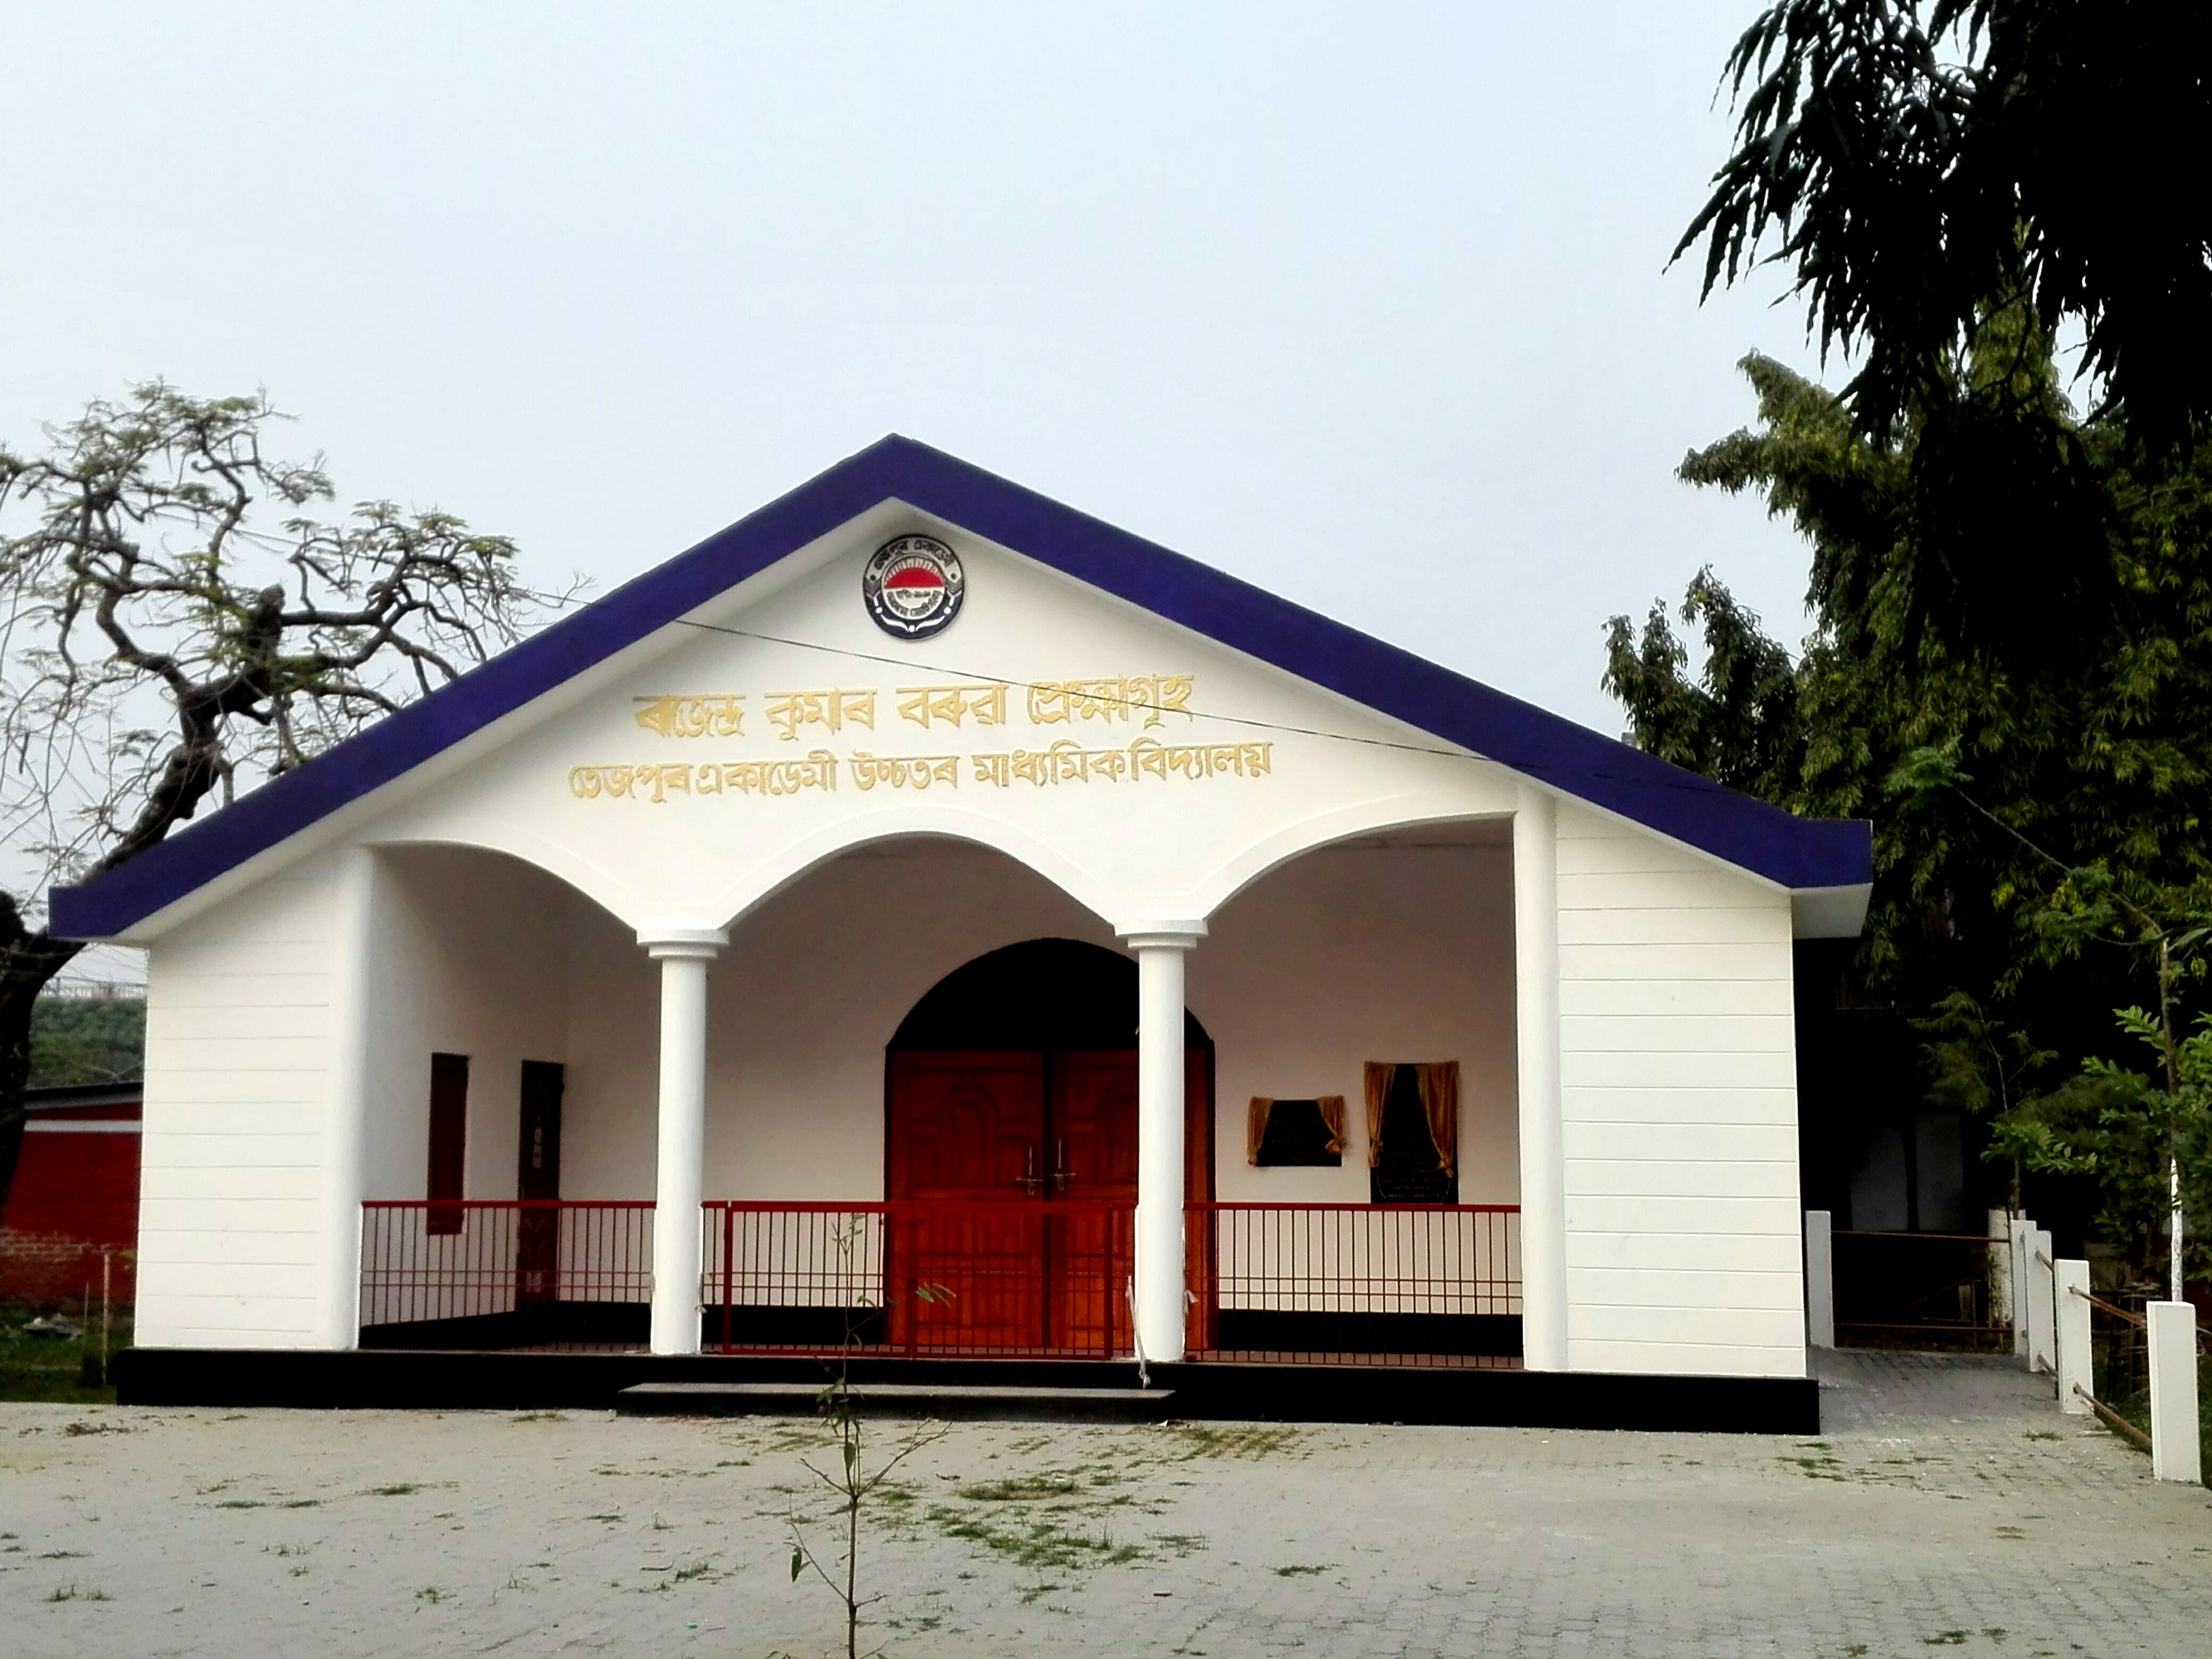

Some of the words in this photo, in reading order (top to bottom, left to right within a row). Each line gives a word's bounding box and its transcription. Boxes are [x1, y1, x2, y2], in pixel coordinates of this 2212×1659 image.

[911, 533, 961, 570] একাডেমী
[626, 676, 756, 753] ৰাজেদ্ৰ
[756, 673, 885, 745] কুমাৰ
[890, 669, 1016, 737] বৰুৱা
[1020, 656, 1212, 740] প্রেমীগৃহ
[564, 744, 848, 809] চেজপুৰএকাডেমী
[839, 740, 970, 799] উচ্চতৰ
[968, 731, 1276, 794] মাধ্যমিকবিদ্যলয়